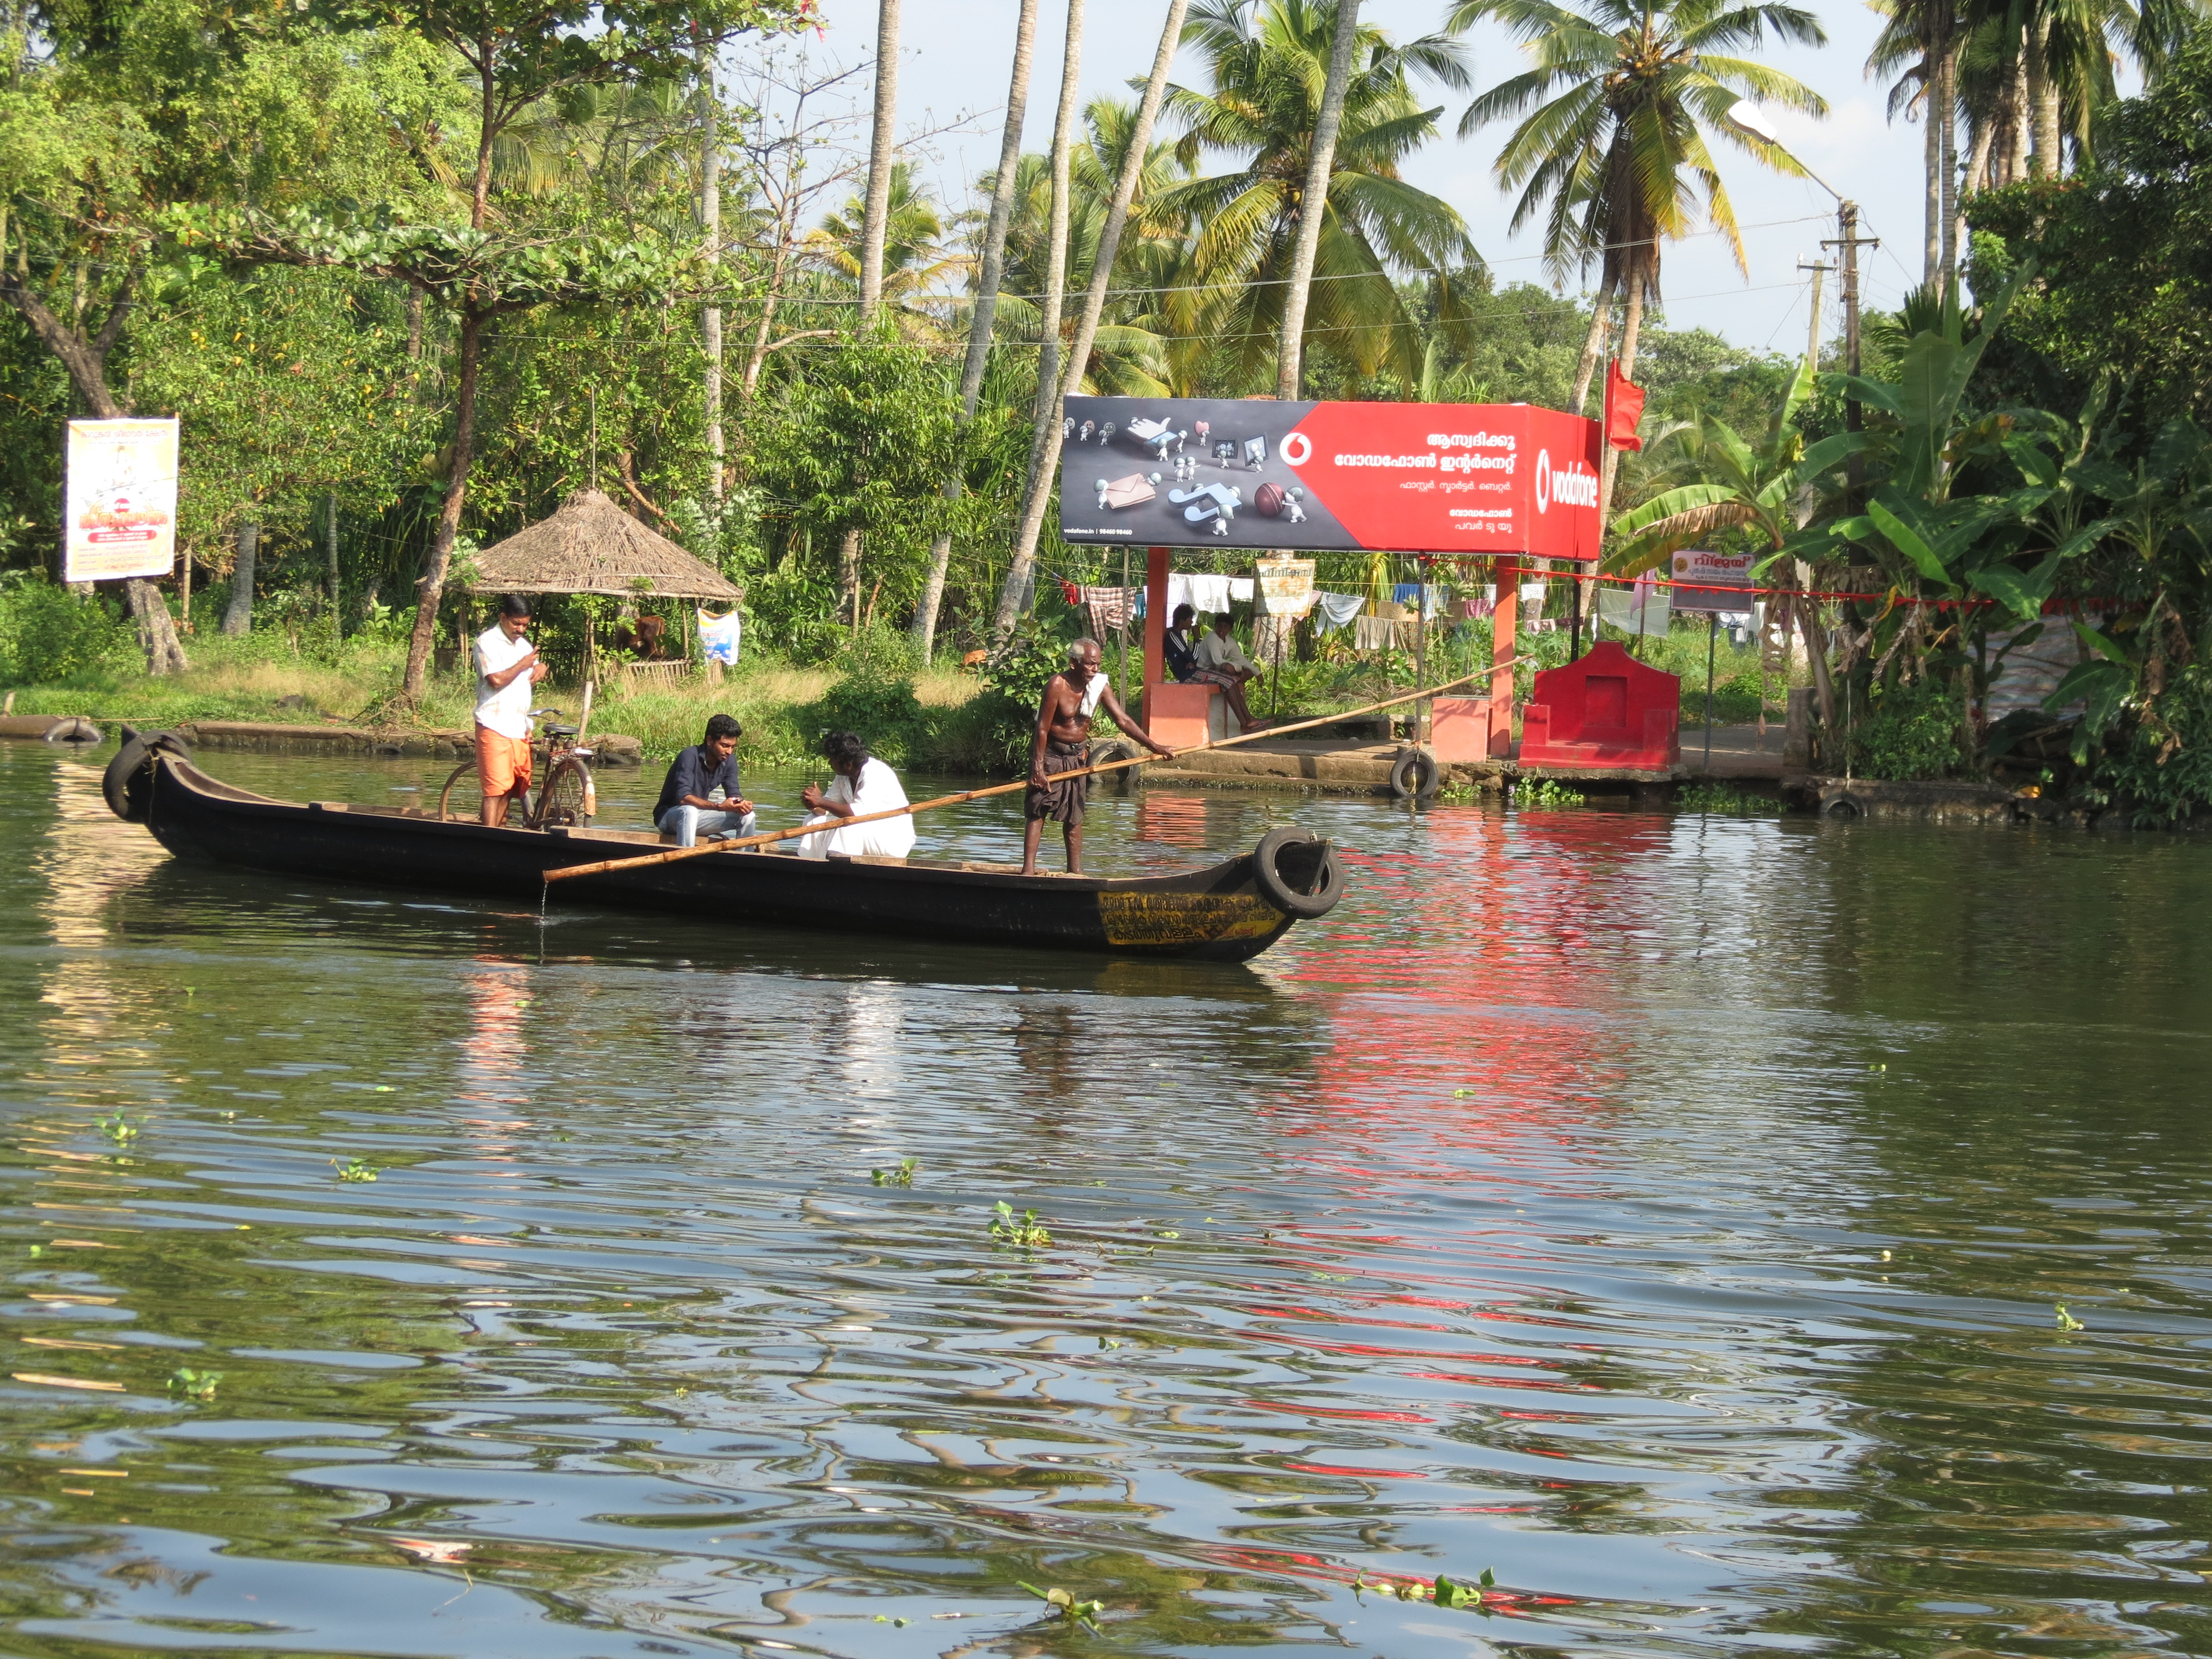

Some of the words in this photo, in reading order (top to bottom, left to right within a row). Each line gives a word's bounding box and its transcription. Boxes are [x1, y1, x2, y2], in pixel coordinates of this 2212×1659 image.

[1424, 427, 1518, 452] ആസ്വദിക്കൂ
[1332, 450, 1439, 472] വോഡഫോൺ
[1436, 450, 1519, 476] ഇൻ്റർനെറ്റ്
[1395, 476, 1438, 494] ഫാസ്റ്റർ
[1437, 478, 1478, 494] സ്മാർട്ടർ
[1477, 480, 1515, 497] ബെറ്റർ
[1550, 456, 1601, 510] vodafone
[1447, 506, 1515, 519] വോഡഫോൺ
[1453, 518, 1485, 533] പവർ
[1483, 519, 1516, 535] ടുയു
[1689, 548, 1754, 571] വിജയ്
[1256, 565, 1313, 579] ഫീനിക്സ്